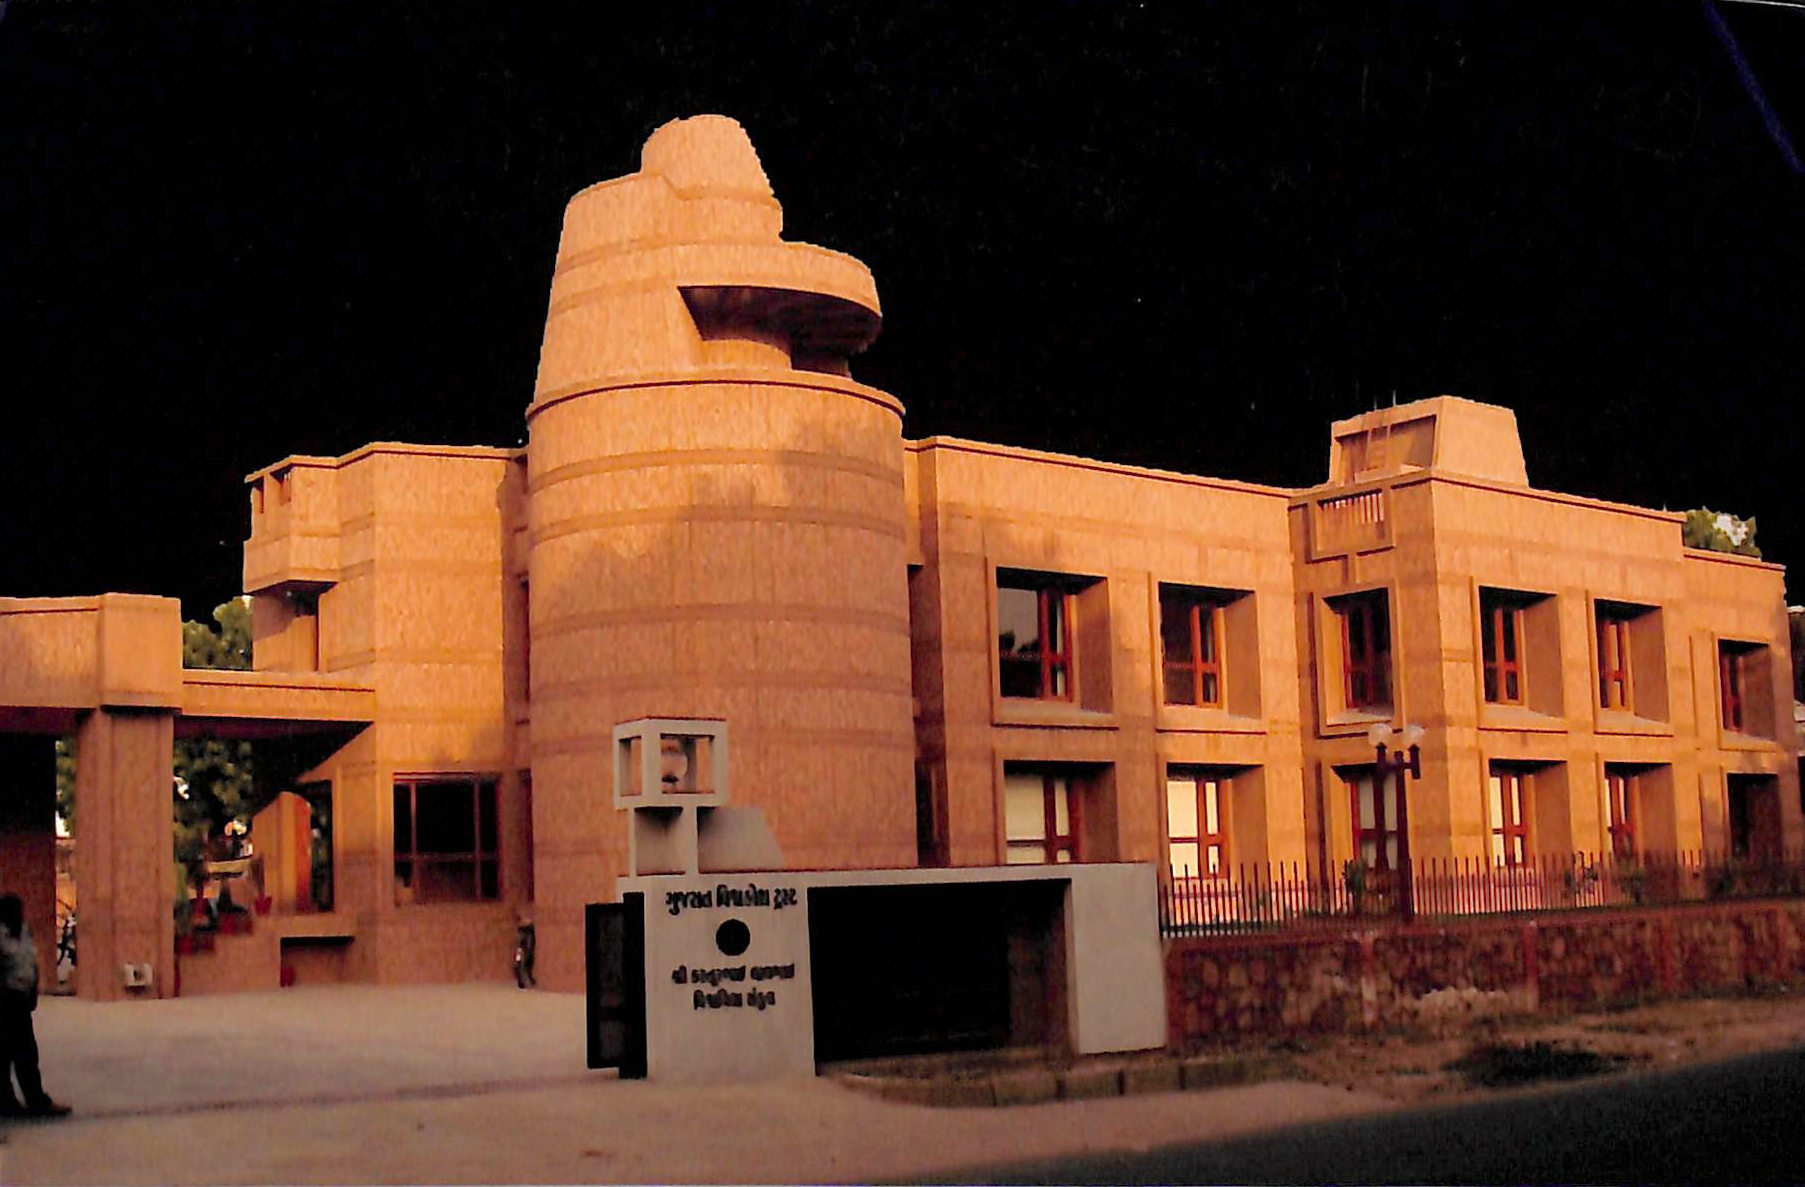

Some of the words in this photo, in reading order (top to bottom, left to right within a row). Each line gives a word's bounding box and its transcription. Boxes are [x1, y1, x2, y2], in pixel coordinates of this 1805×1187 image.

[662, 890, 716, 919] ગુજરાત
[714, 884, 772, 913] વિશ્વડોશ
[770, 888, 802, 913] ટ્રસ્ટ